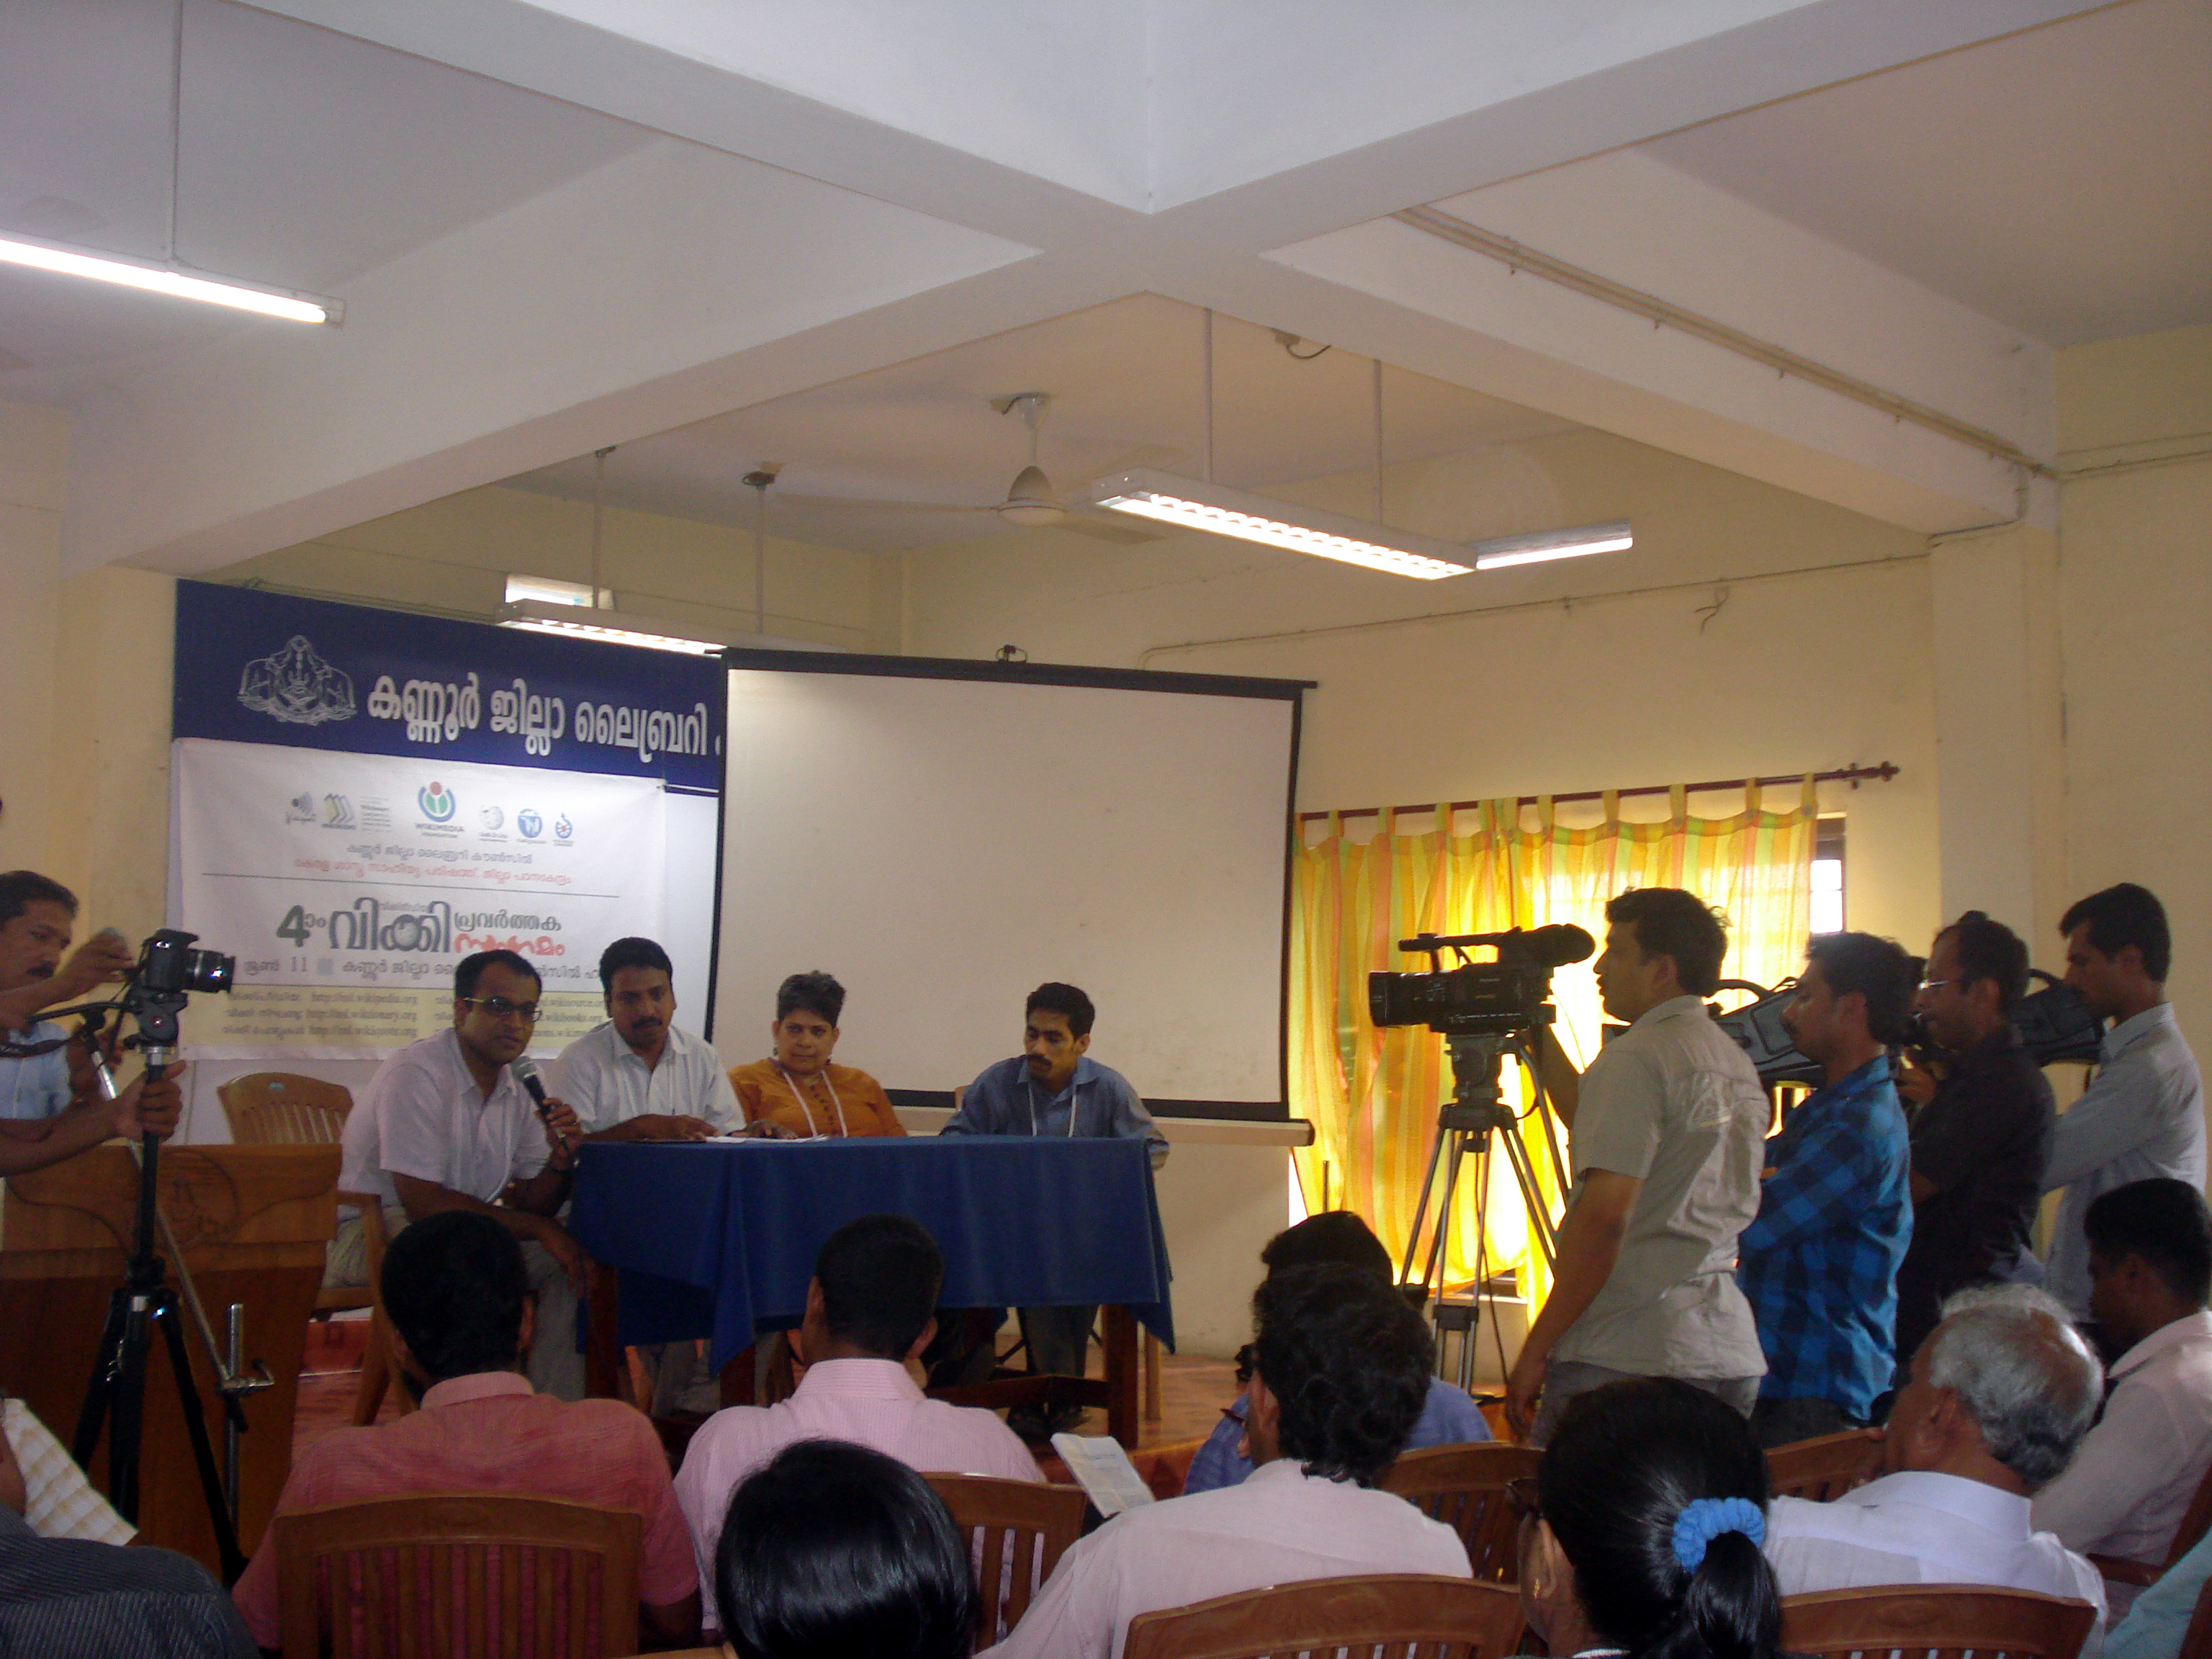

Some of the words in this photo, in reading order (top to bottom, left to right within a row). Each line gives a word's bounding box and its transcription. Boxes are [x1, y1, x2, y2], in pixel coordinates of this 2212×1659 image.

[364, 665, 486, 746] കണ്ണൂർ
[486, 676, 568, 758] ജില്ലാ
[567, 696, 709, 767] ലൈബ്രറി
[344, 839, 384, 864] കണ്ണൂ‍ർ
[468, 846, 535, 868] കൗൺസിൽ
[325, 885, 453, 956] വിക്കി
[449, 904, 567, 939] പ്രവർ‌ത്തക
[339, 956, 390, 984] കണ്ണൂർ
[391, 956, 433, 981] ജില്ലാ